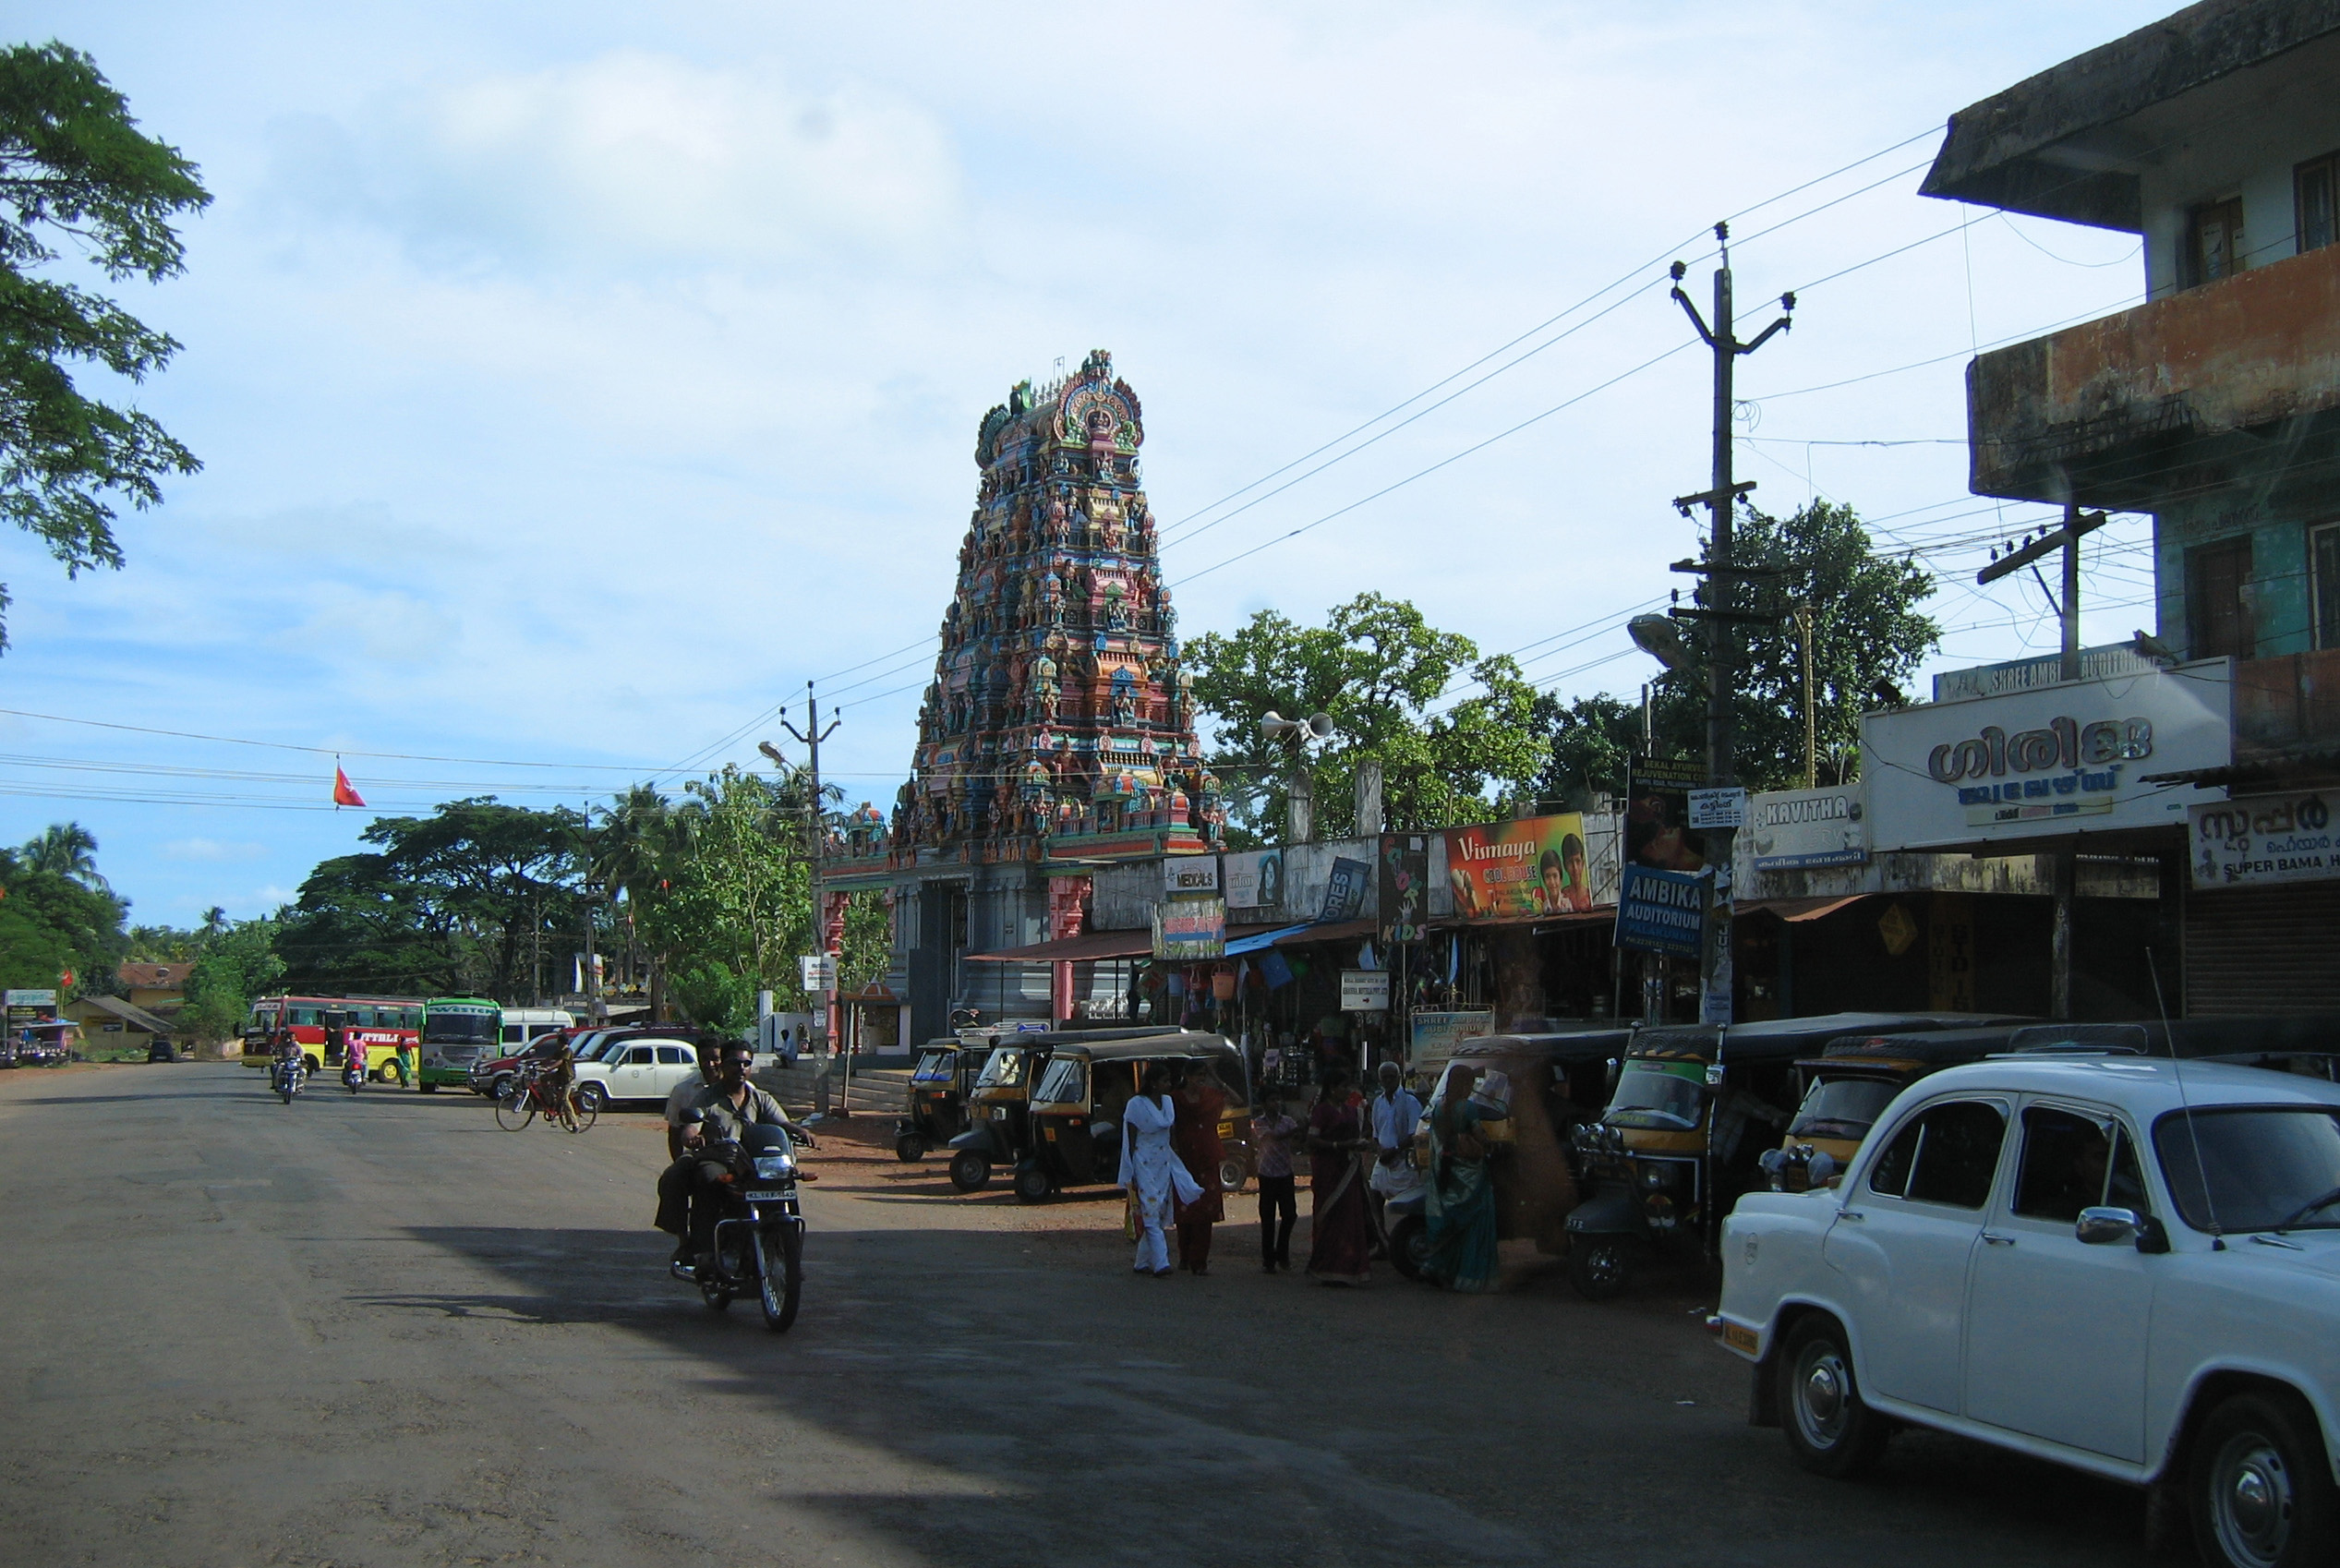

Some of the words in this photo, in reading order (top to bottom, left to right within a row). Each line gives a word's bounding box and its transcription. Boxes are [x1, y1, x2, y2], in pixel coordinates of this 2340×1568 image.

[1924, 706, 2155, 794] ഗിരിജ
[1951, 759, 2124, 808] ജ്വലേഴ്‌സ്
[1762, 791, 1851, 826] KAVITHA
[2195, 786, 2334, 856] സപ്പർ
[1453, 832, 1538, 867] Vismaya
[1478, 862, 1540, 888] COOLHOUSE
[2215, 855, 2276, 878] SUPER
[2261, 829, 2333, 856] ഹെയർ
[2274, 852, 2326, 874] BAMA
[1626, 870, 1706, 917] AMBIKA
[1620, 916, 1704, 950] PALAKUNNU
[1622, 898, 1706, 939] AUDITORIUM